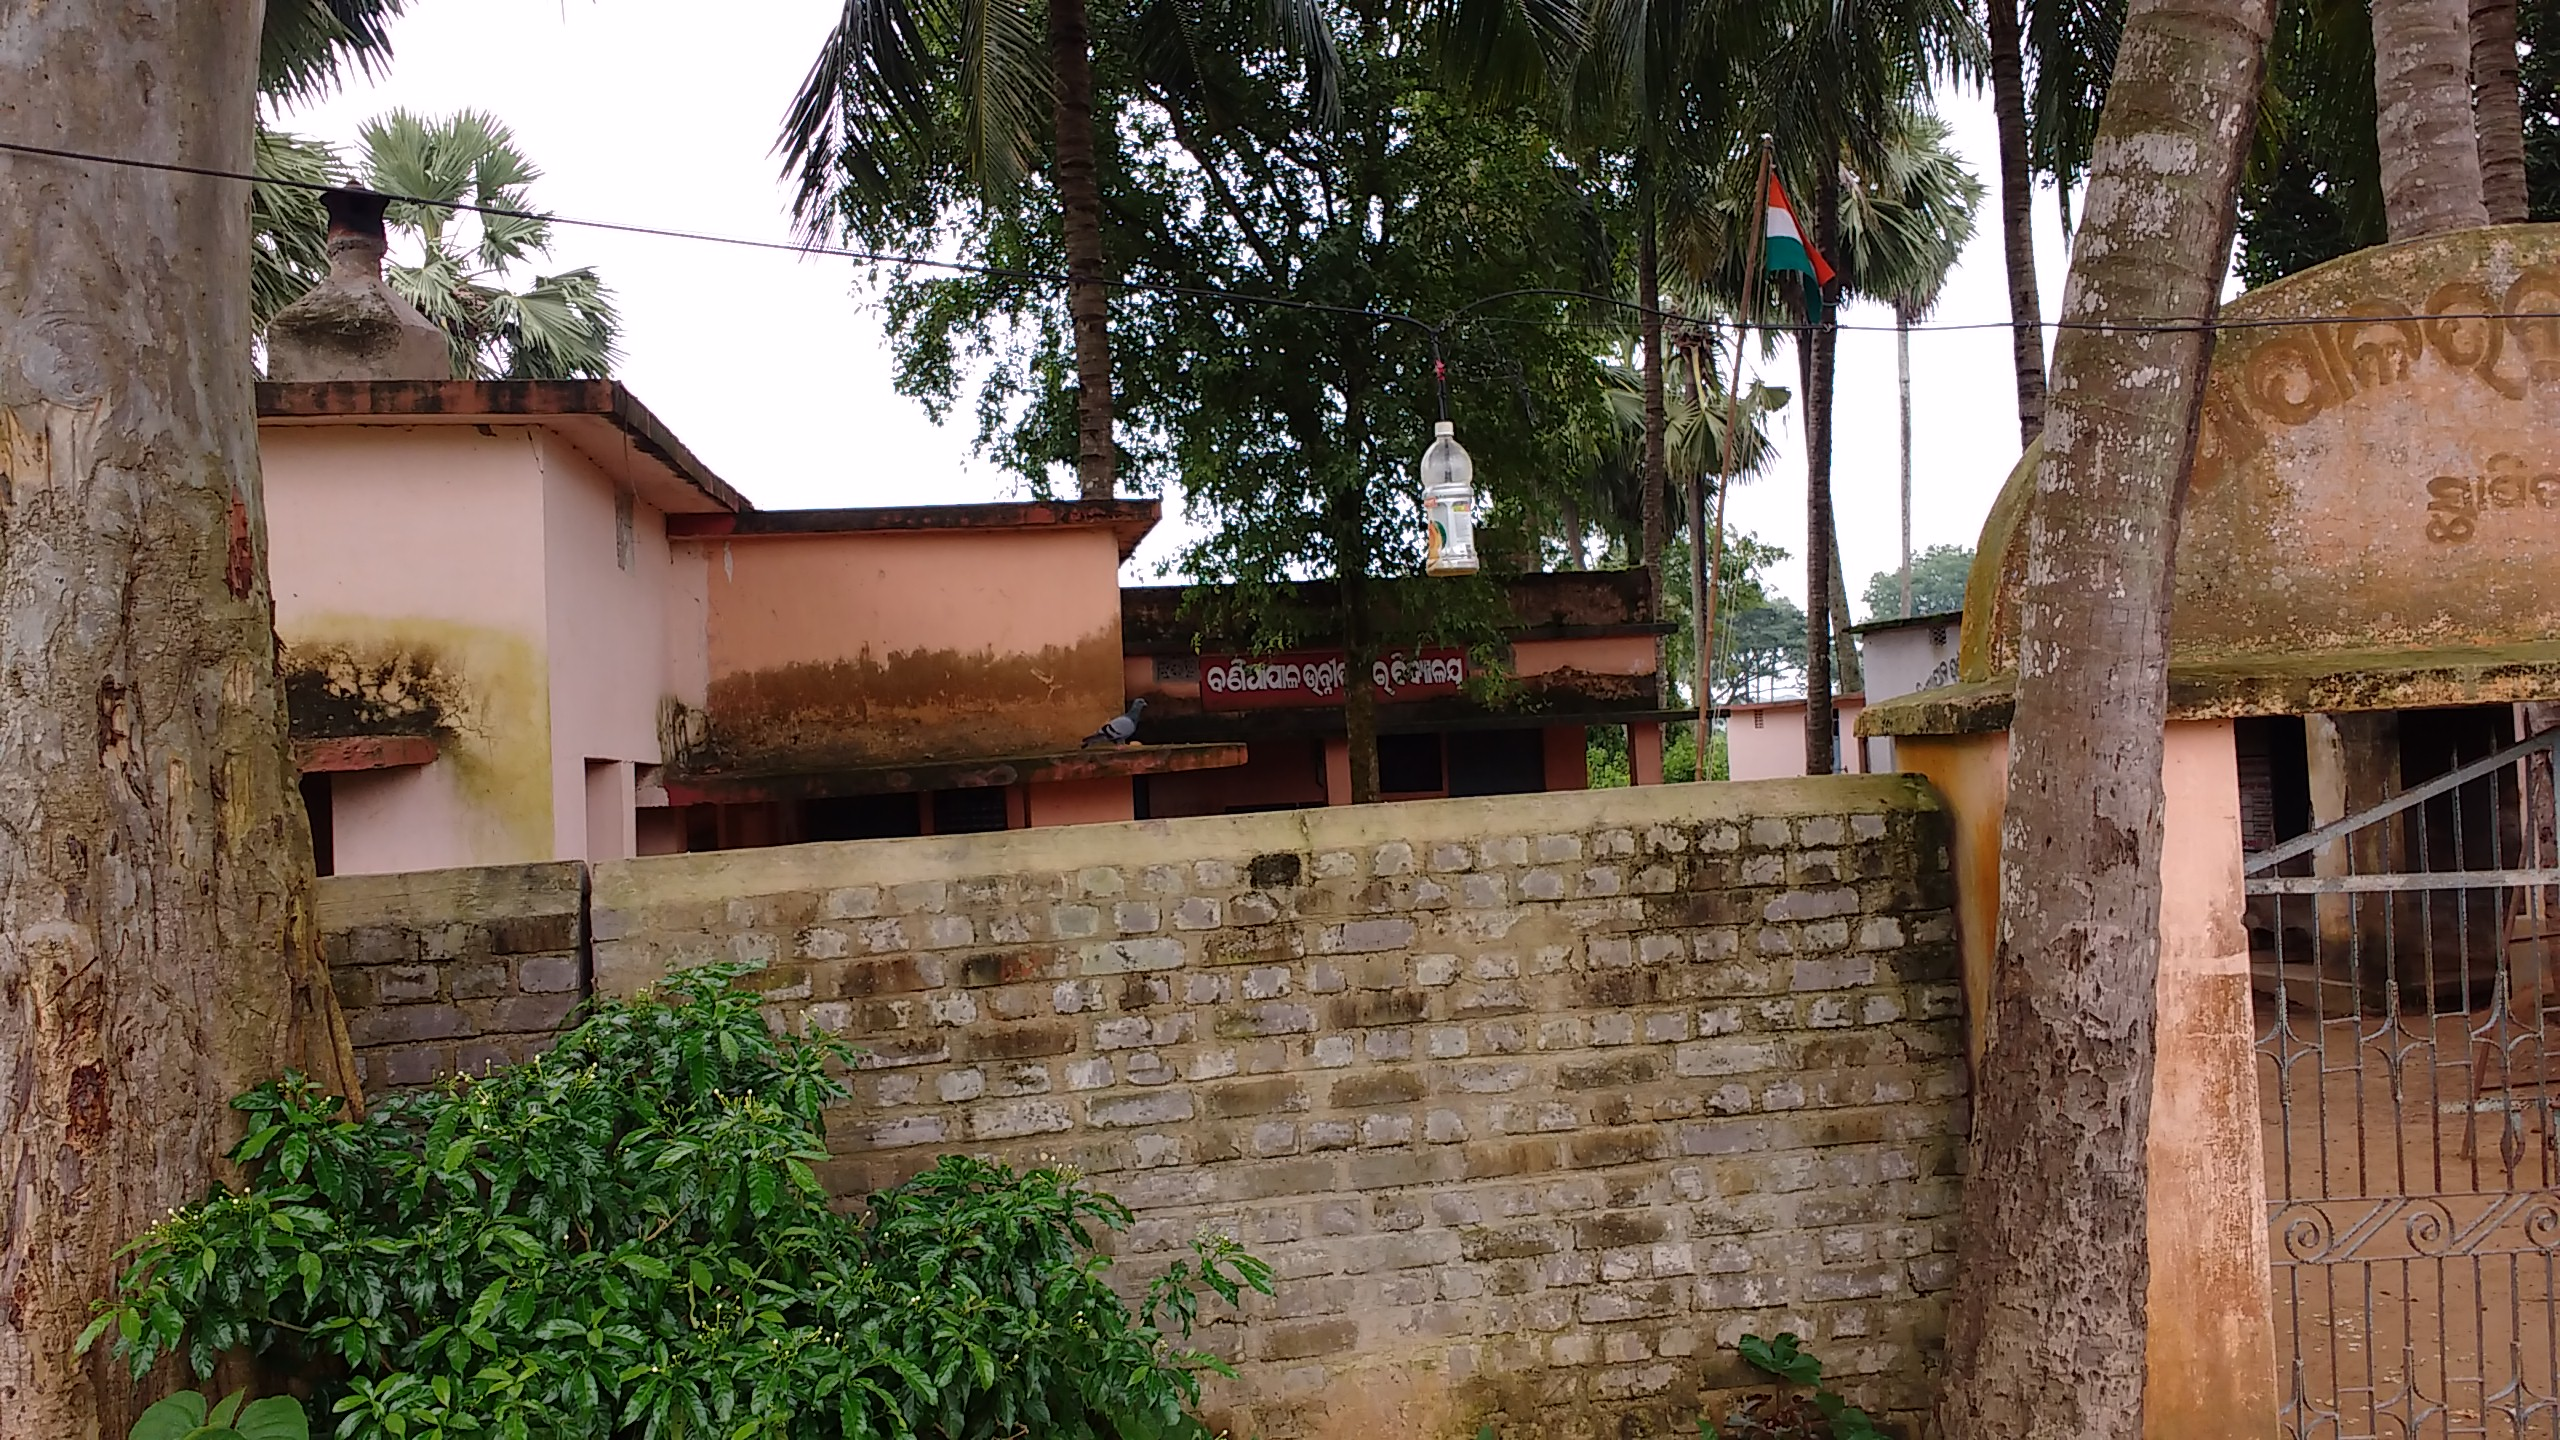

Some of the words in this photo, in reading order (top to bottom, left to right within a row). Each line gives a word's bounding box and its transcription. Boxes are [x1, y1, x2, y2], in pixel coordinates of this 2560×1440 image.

[2224, 261, 2556, 445] ପାଳଭ
[1203, 649, 1307, 698] ବଣିଥାପାଳ
[1365, 645, 1467, 699] ଭୂବିଦ୍ୟାଳୟ